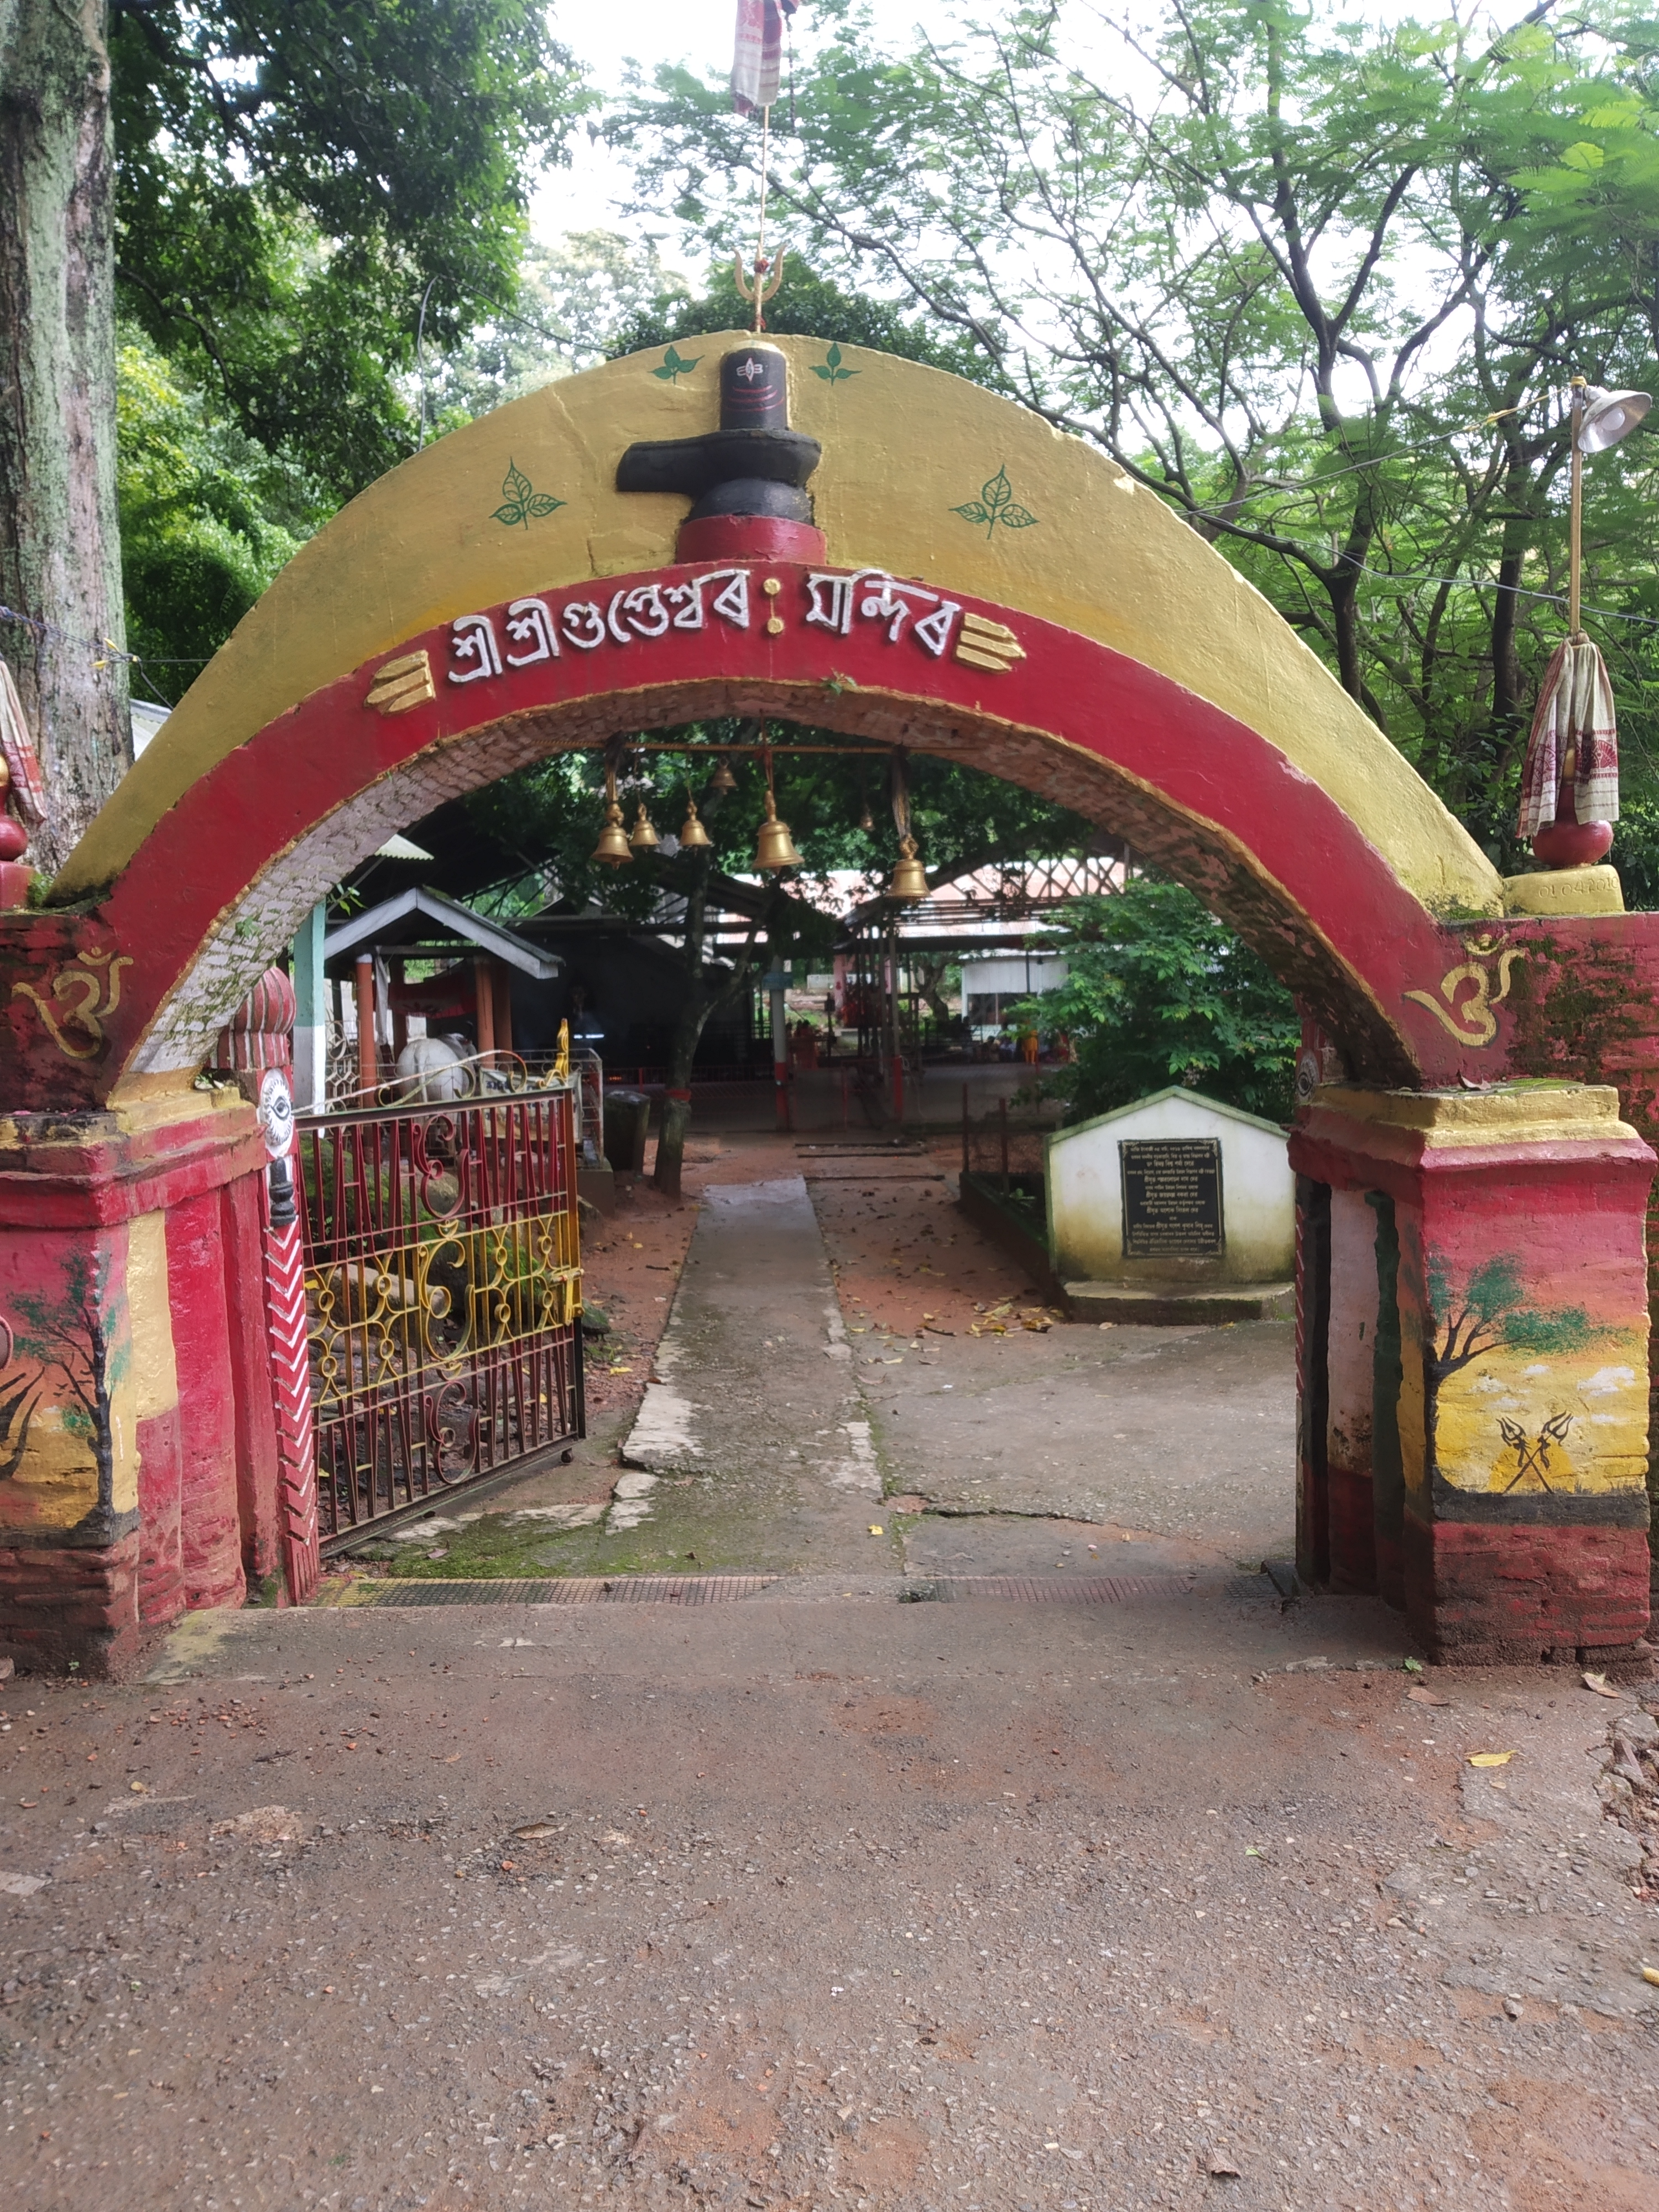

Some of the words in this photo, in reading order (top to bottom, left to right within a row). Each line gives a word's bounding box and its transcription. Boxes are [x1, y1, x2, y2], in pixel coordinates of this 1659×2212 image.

[431, 559, 763, 691] শ্রীশ্রীগুপ্তেশ্বৰ
[796, 549, 970, 669] মন্দিৰ